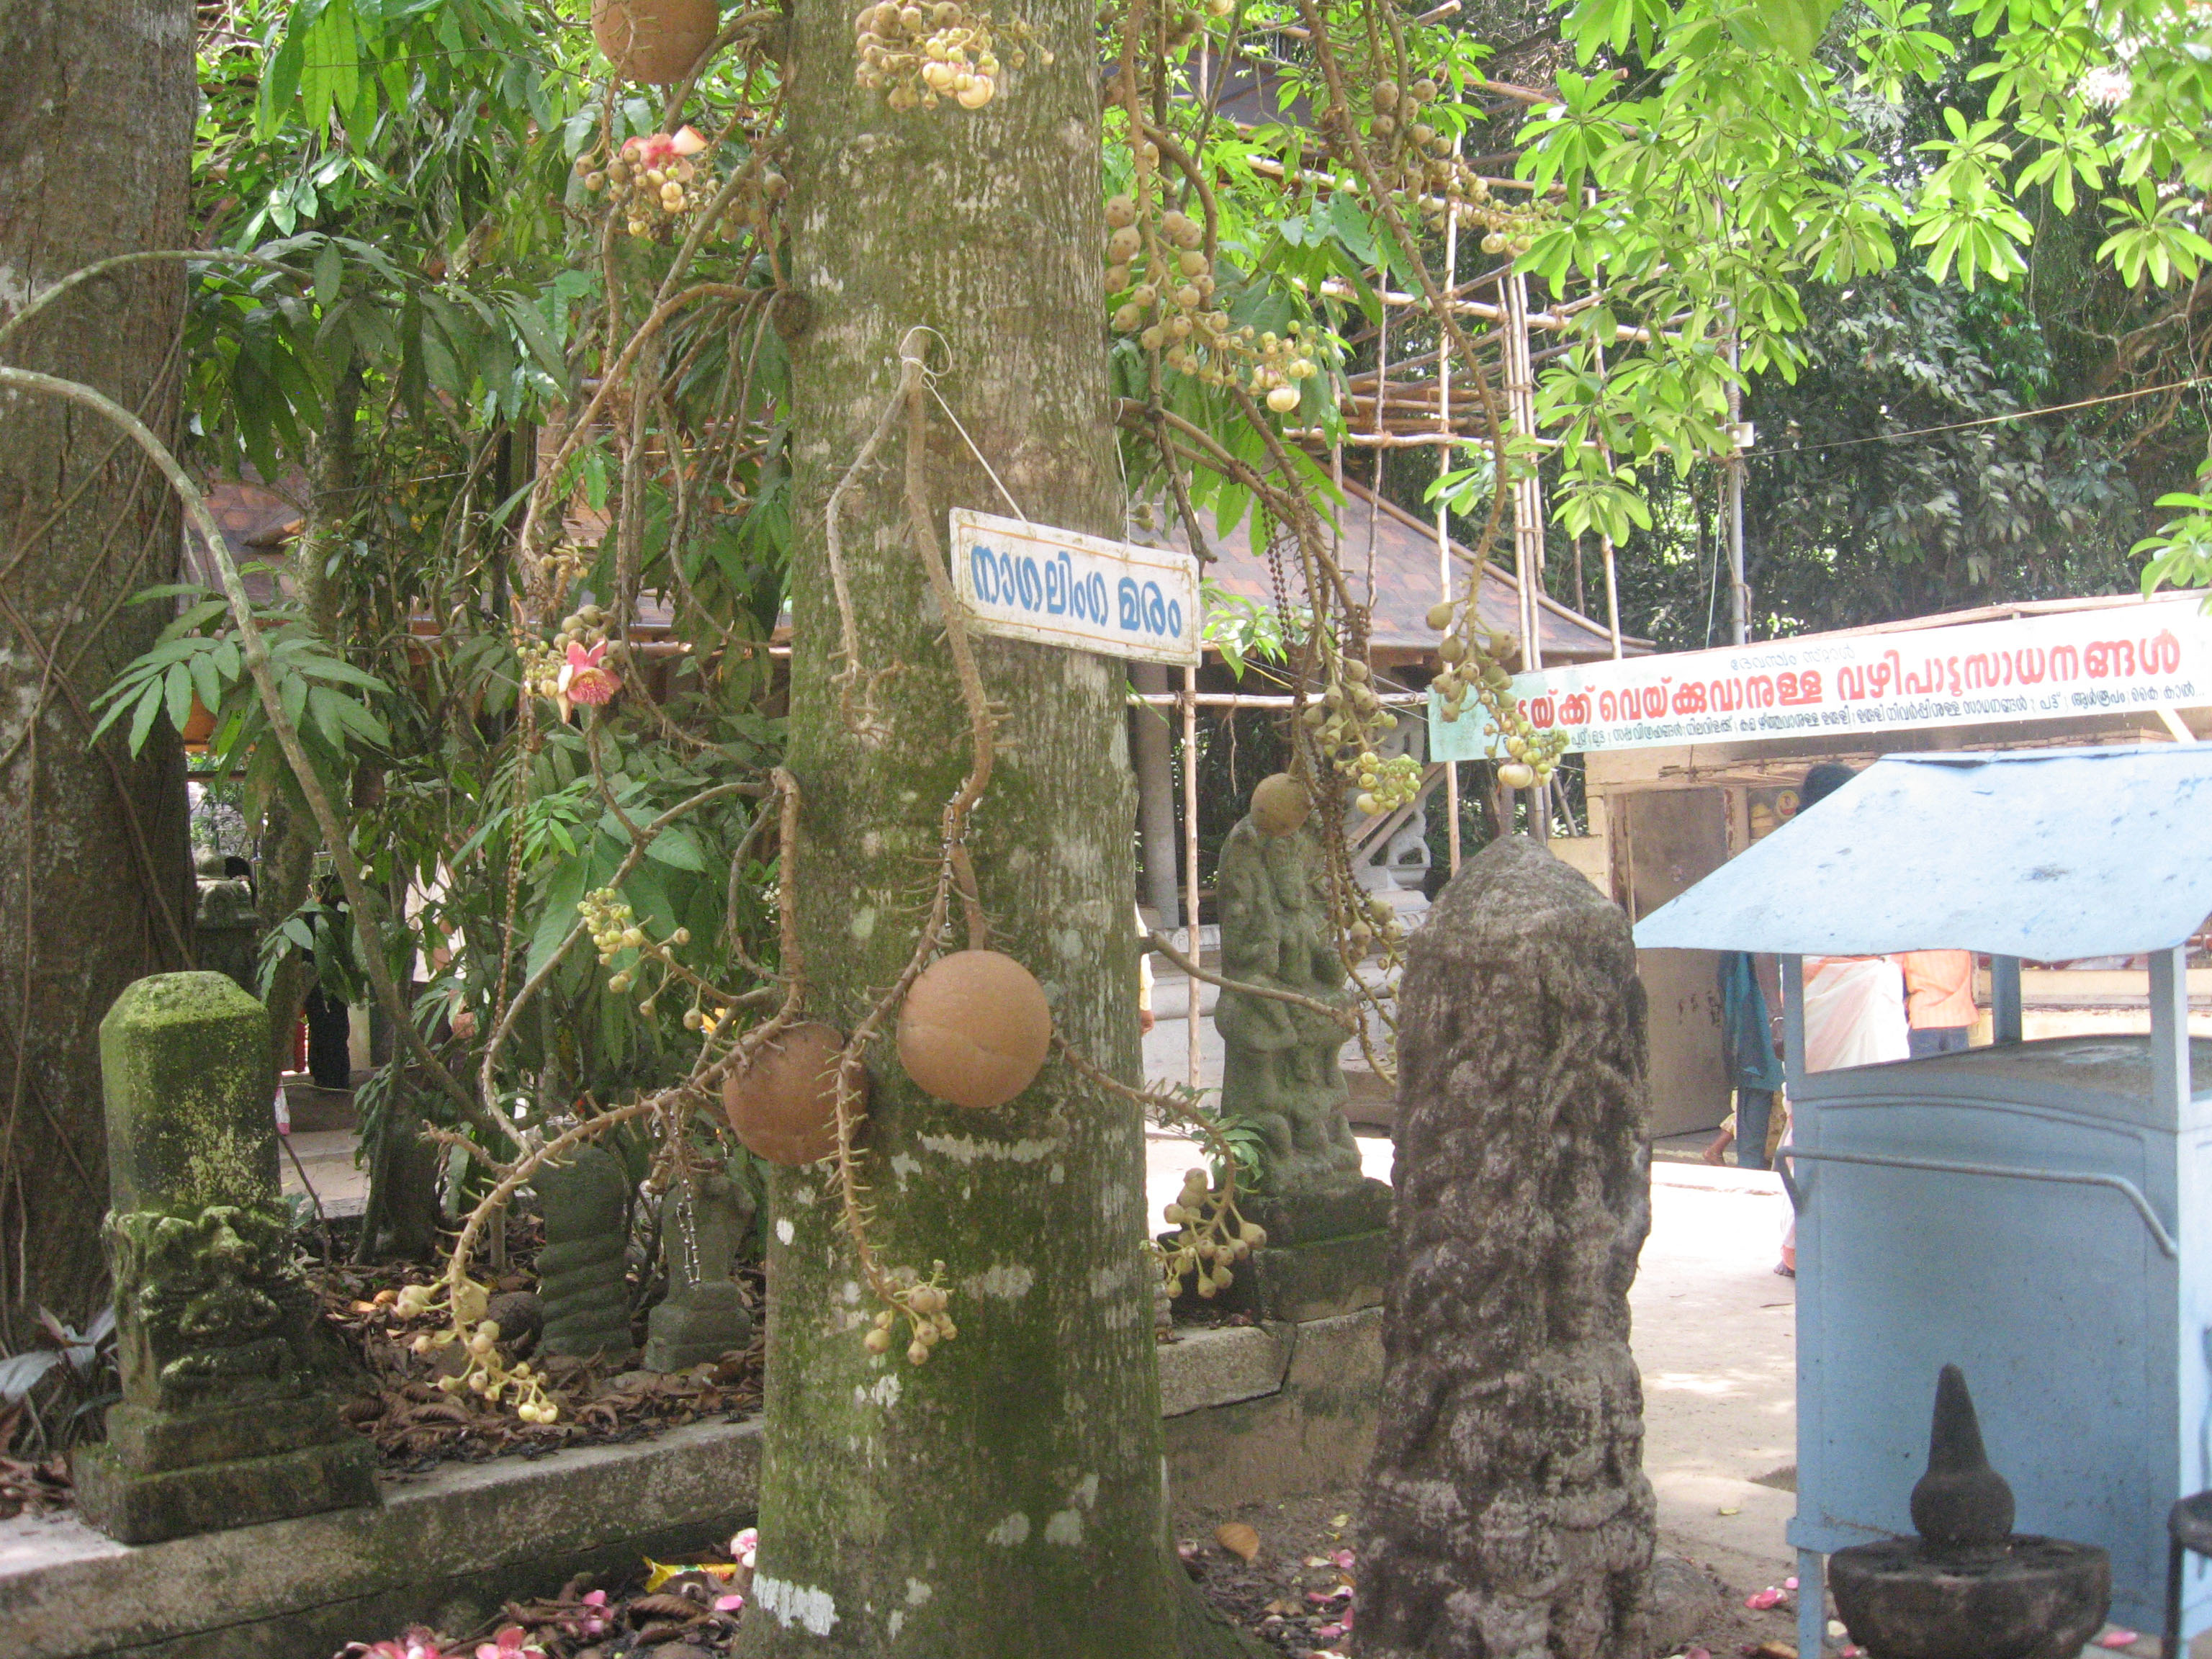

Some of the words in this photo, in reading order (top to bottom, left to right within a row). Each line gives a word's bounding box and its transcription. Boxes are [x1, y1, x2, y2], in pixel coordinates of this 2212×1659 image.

[967, 541, 1120, 632] നാഗലിംഗ
[1110, 572, 1186, 644] മരം
[1727, 649, 1803, 675] ദേവസ്വം
[1800, 640, 1860, 670] സ്‌റ്റാൾ
[1835, 625, 2188, 706] വഴിപാടുസാധനങ്ങൾ
[1515, 683, 1599, 735] ടയ്‌ക്ക്
[1597, 673, 1674, 727] വെയ്
[1668, 668, 1827, 717] ക്കുവാനുള്ള
[1755, 708, 1822, 732] ഴ്ത്തവാനുള്ള
[1852, 701, 1889, 728] ഉരുളി
[1884, 693, 1964, 725] നിവർപ്പിനുള്ള
[1961, 692, 2033, 717] സാധനങ്ങൾ
[2037, 688, 2065, 714] പട്ട്
[2064, 683, 2130, 712] ആൾരൂപം
[2127, 680, 2162, 704] കൈ
[2161, 675, 2201, 703] കാൽ